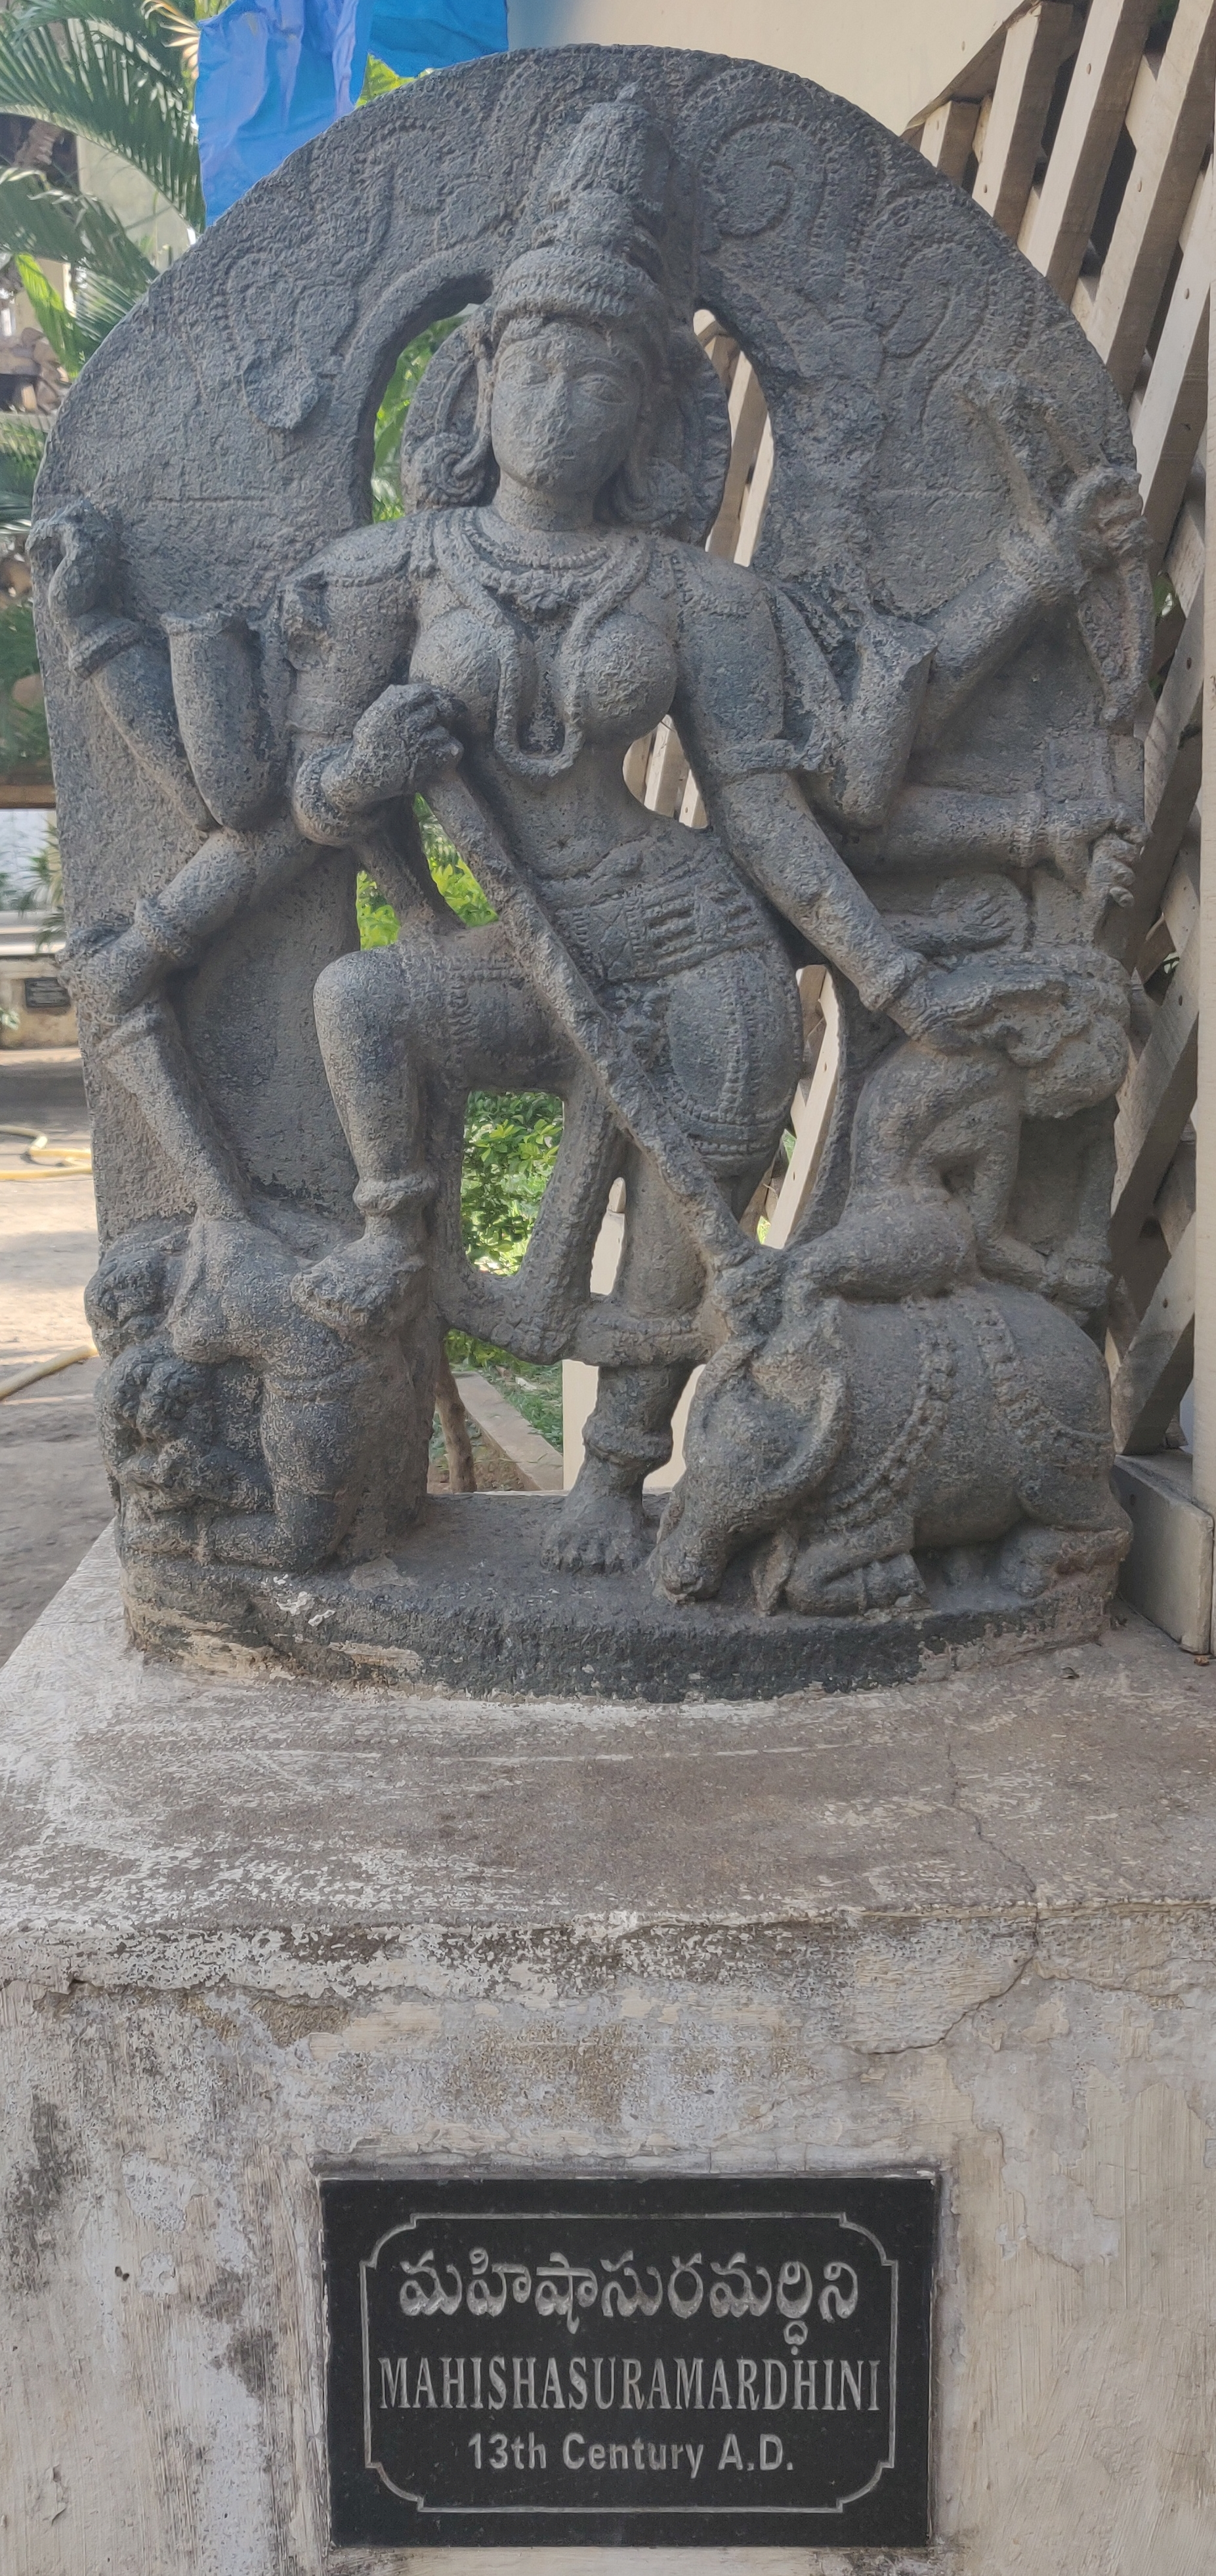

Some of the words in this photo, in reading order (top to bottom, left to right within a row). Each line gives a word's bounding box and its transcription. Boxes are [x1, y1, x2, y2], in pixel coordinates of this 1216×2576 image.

[393, 2240, 866, 2361] మహిషాసురమర్థిని
[371, 2352, 885, 2418] MAHISHASURAMARDHINI
[464, 2428, 556, 2477] 13th
[554, 2418, 713, 2486] Century
[705, 2426, 801, 2481] A.D.